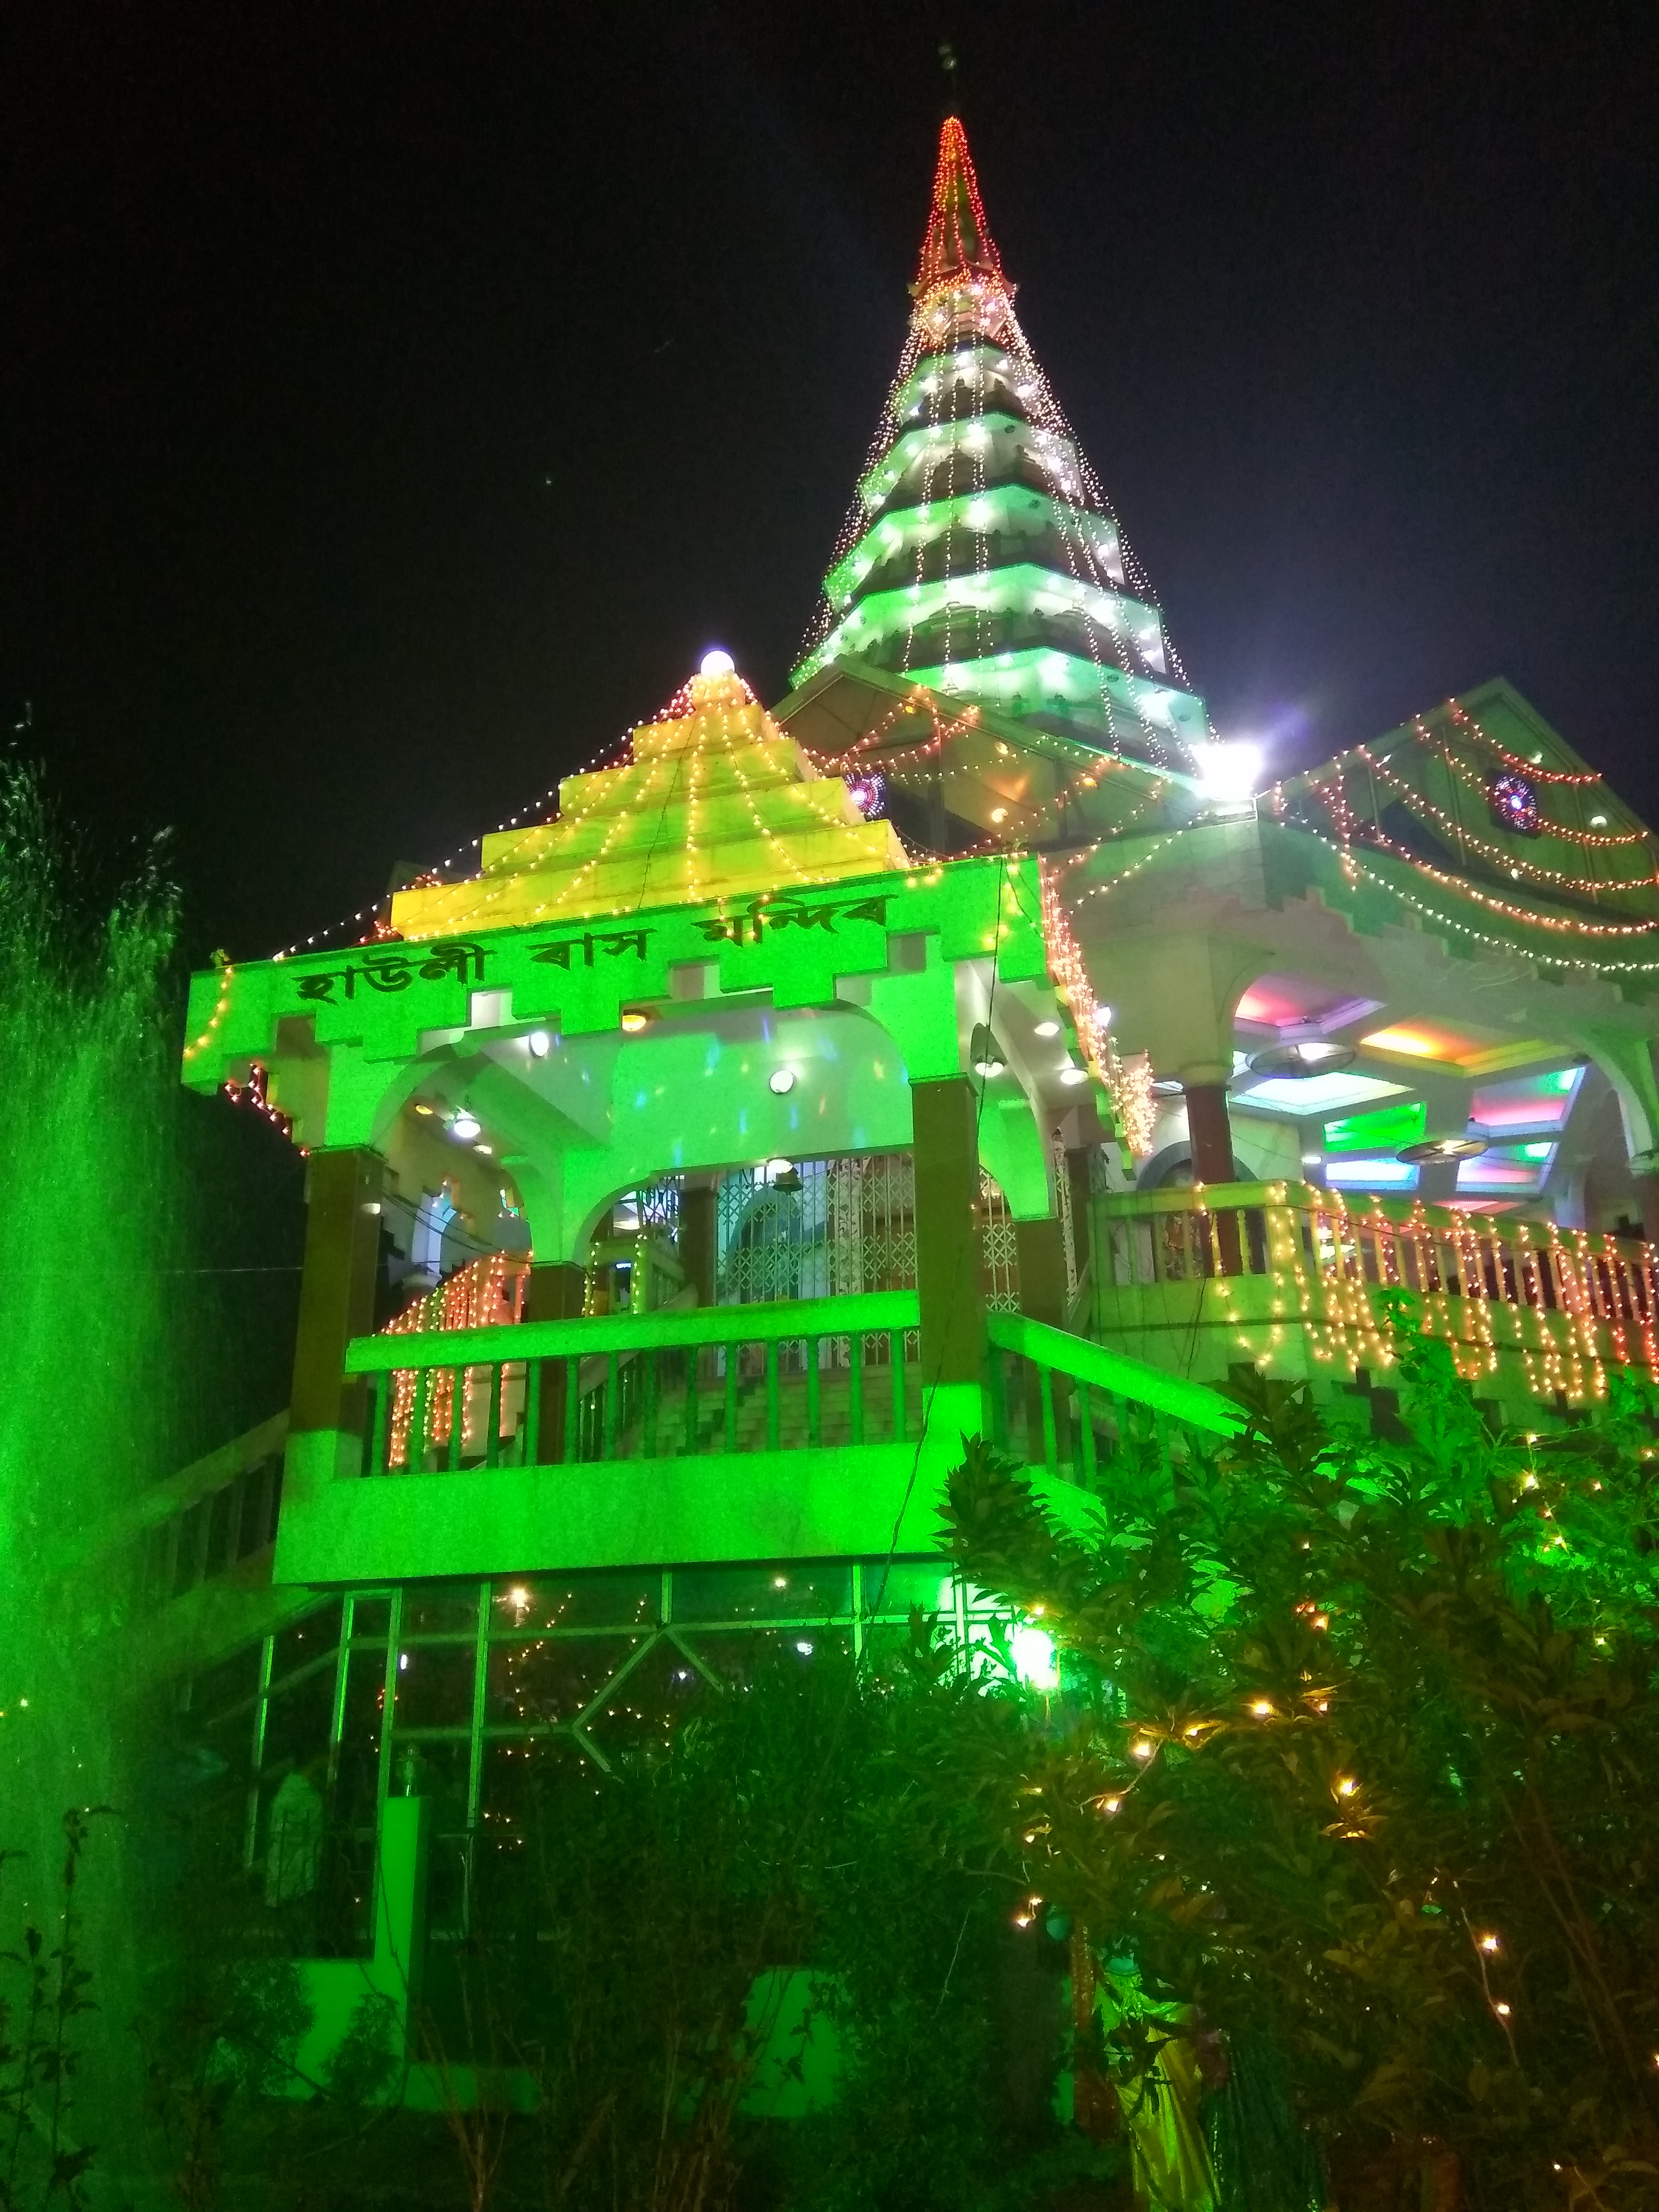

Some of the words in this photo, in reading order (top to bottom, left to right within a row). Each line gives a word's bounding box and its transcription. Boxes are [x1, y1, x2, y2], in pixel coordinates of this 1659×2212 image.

[289, 938, 507, 1010] হাউলী
[522, 922, 663, 974] ৰাস
[691, 888, 902, 950] মন্দিৰ